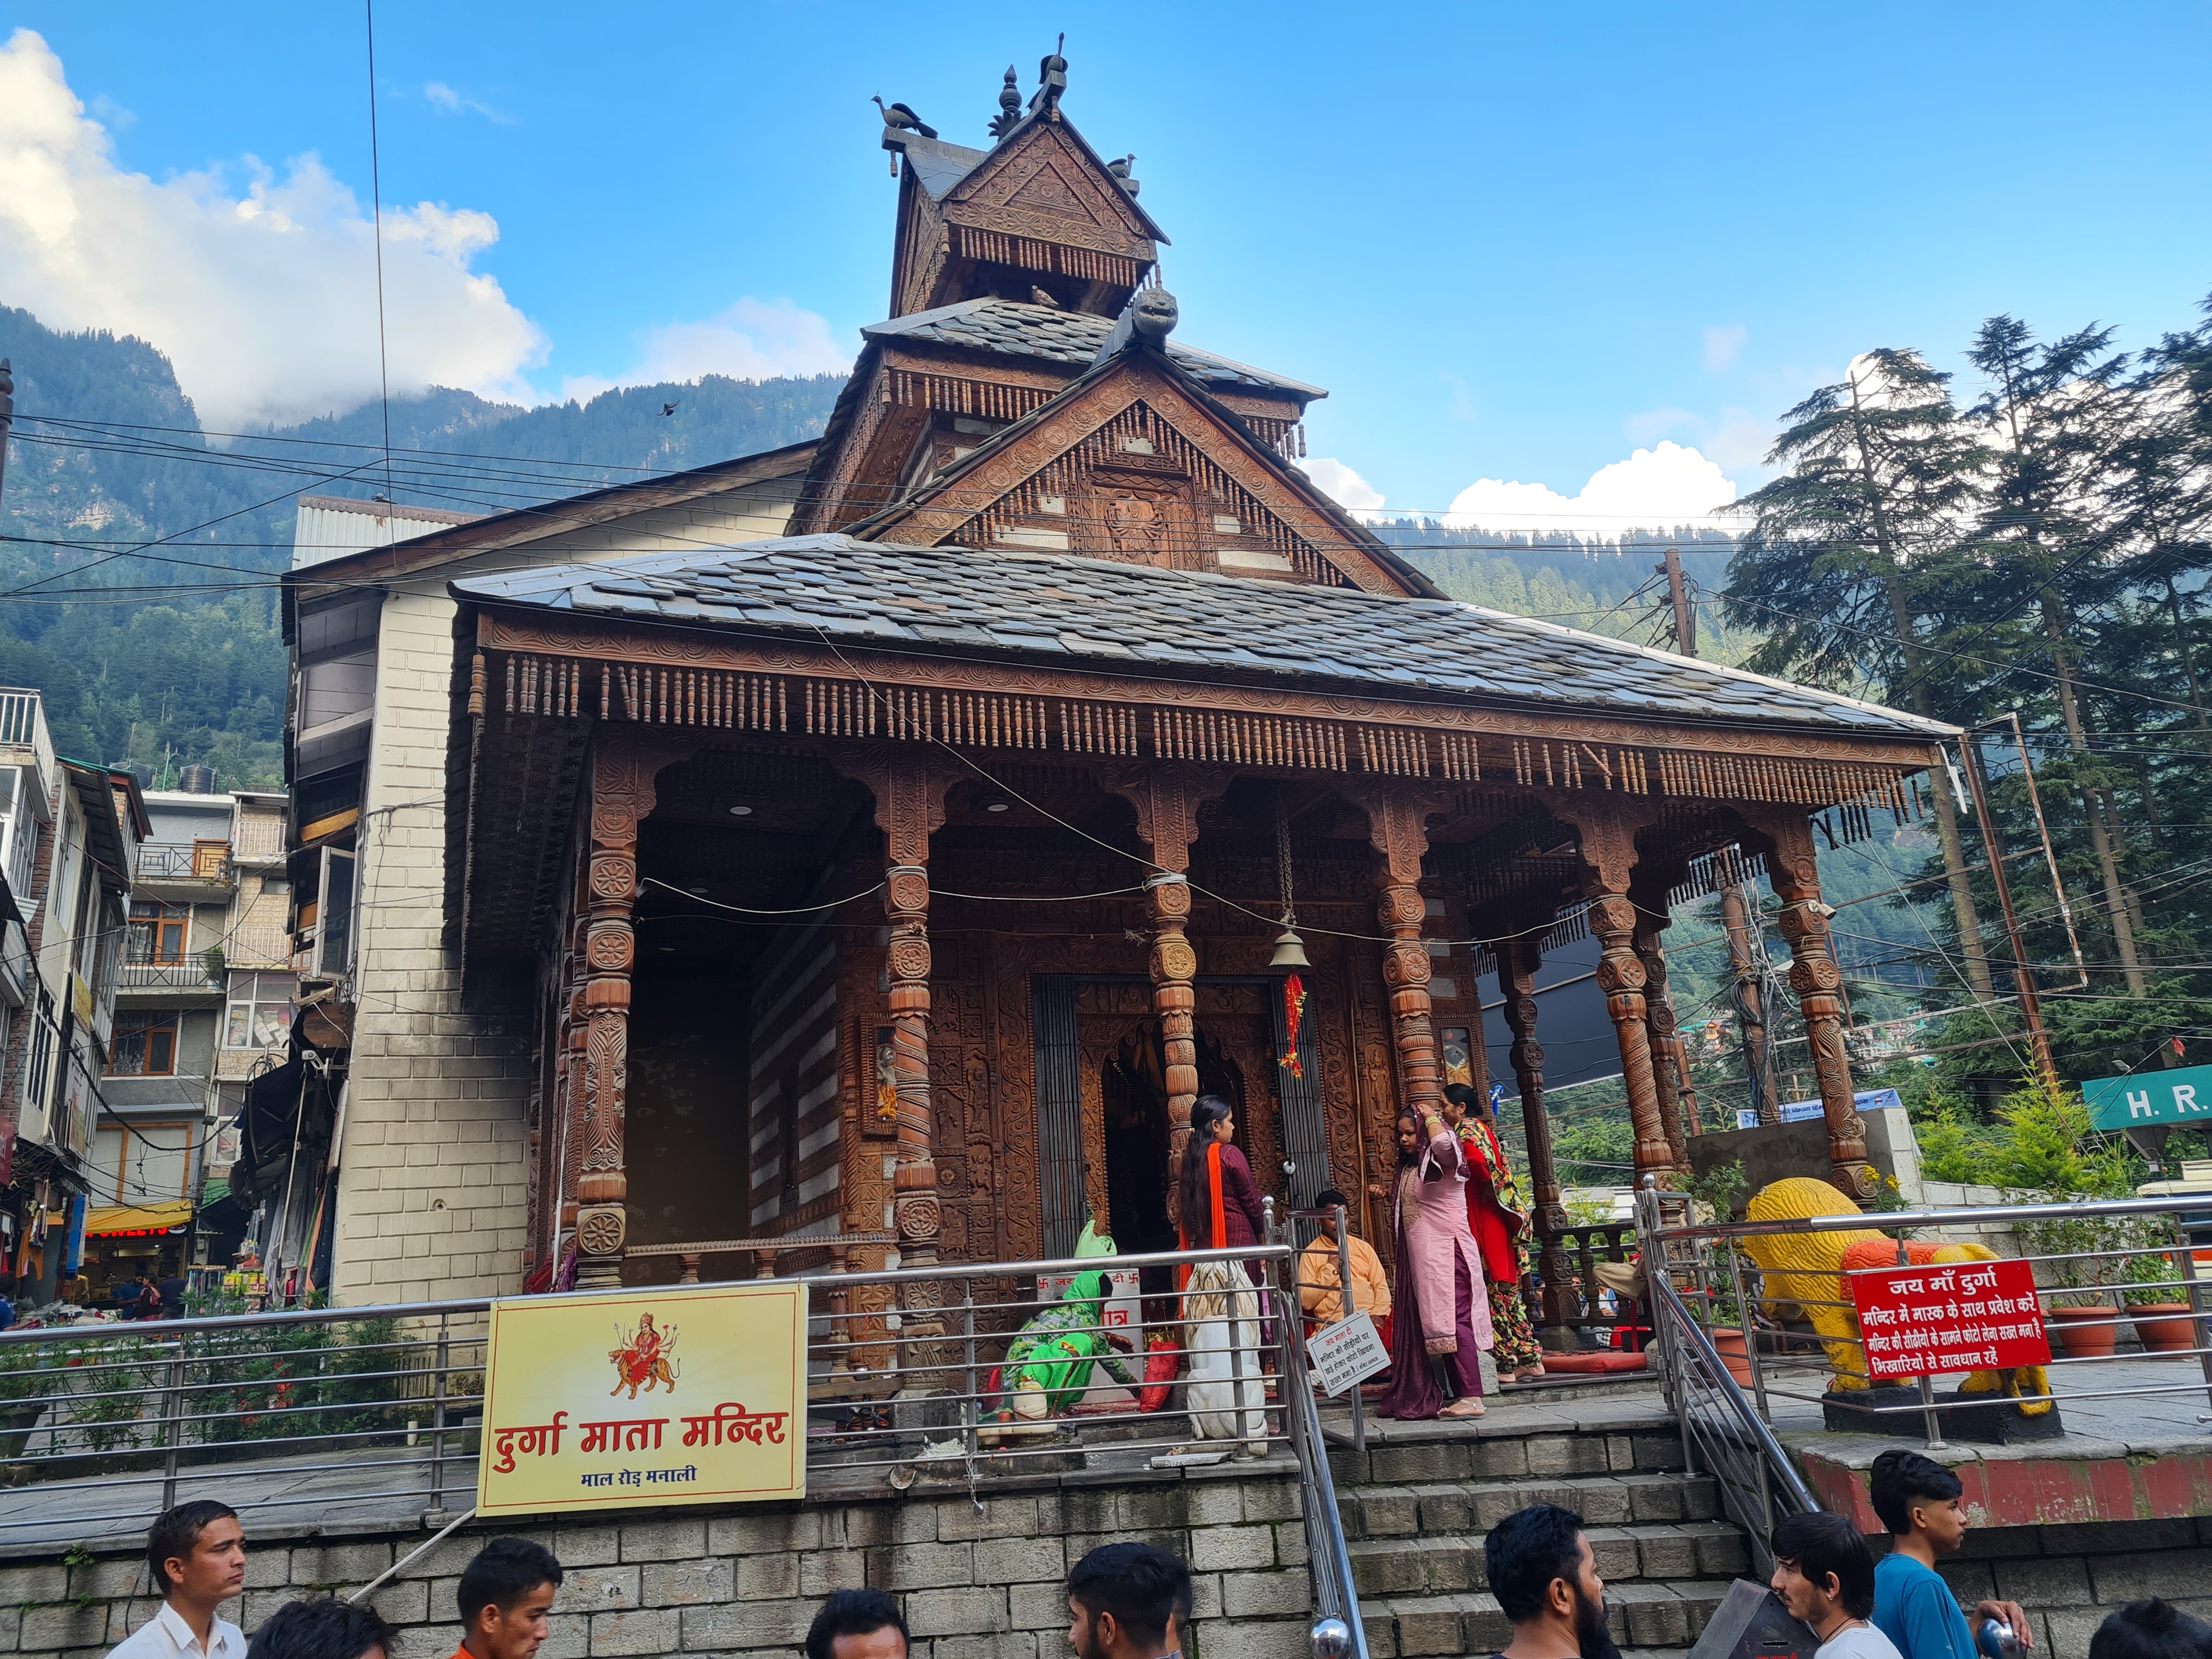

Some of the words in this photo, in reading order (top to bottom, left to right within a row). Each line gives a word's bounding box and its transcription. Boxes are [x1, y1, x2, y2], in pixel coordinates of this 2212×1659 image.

[1860, 1301, 1898, 1330] मन्दिर
[1866, 1328, 1894, 1355] मन्दिर
[1888, 1327, 1906, 1352] की
[1868, 1349, 1928, 1376] भिखारियों
[1892, 1298, 1913, 1326] में
[1888, 1277, 1926, 1300] जय
[1898, 1325, 1932, 1351] सीढ़ीयों
[1909, 1303, 1947, 1327] मास्क
[1923, 1348, 1940, 1371] से
[1926, 1324, 1943, 1347] के॓
[1928, 1266, 1959, 1295] माँ
[1937, 1322, 1965, 1350] सामने
[1943, 1295, 1960, 1322] के
[1937, 1348, 1985, 1371] सावधान
[1959, 1320, 1983, 1347] फोटो
[1959, 1299, 1989, 1322] साथ
[1956, 1262, 2001, 1301] दुर्गा
[1978, 1319, 2001, 1344] लेना
[1980, 1341, 2001, 1368] रहें
[1985, 1289, 2018, 1317] प्रवेश
[1994, 1323, 2021, 1342] सख्त
[2013, 1288, 2039, 1316] करें
[2015, 1322, 2038, 1342] मना
[2028, 1313, 2044, 1339] है
[486, 1407, 573, 1476] दुर्गा
[578, 1417, 672, 1458] माता
[676, 1400, 792, 1454] मन्दिर
[577, 1468, 613, 1491] माल
[610, 1462, 644, 1490] रोड़
[645, 1460, 700, 1486] मनाली